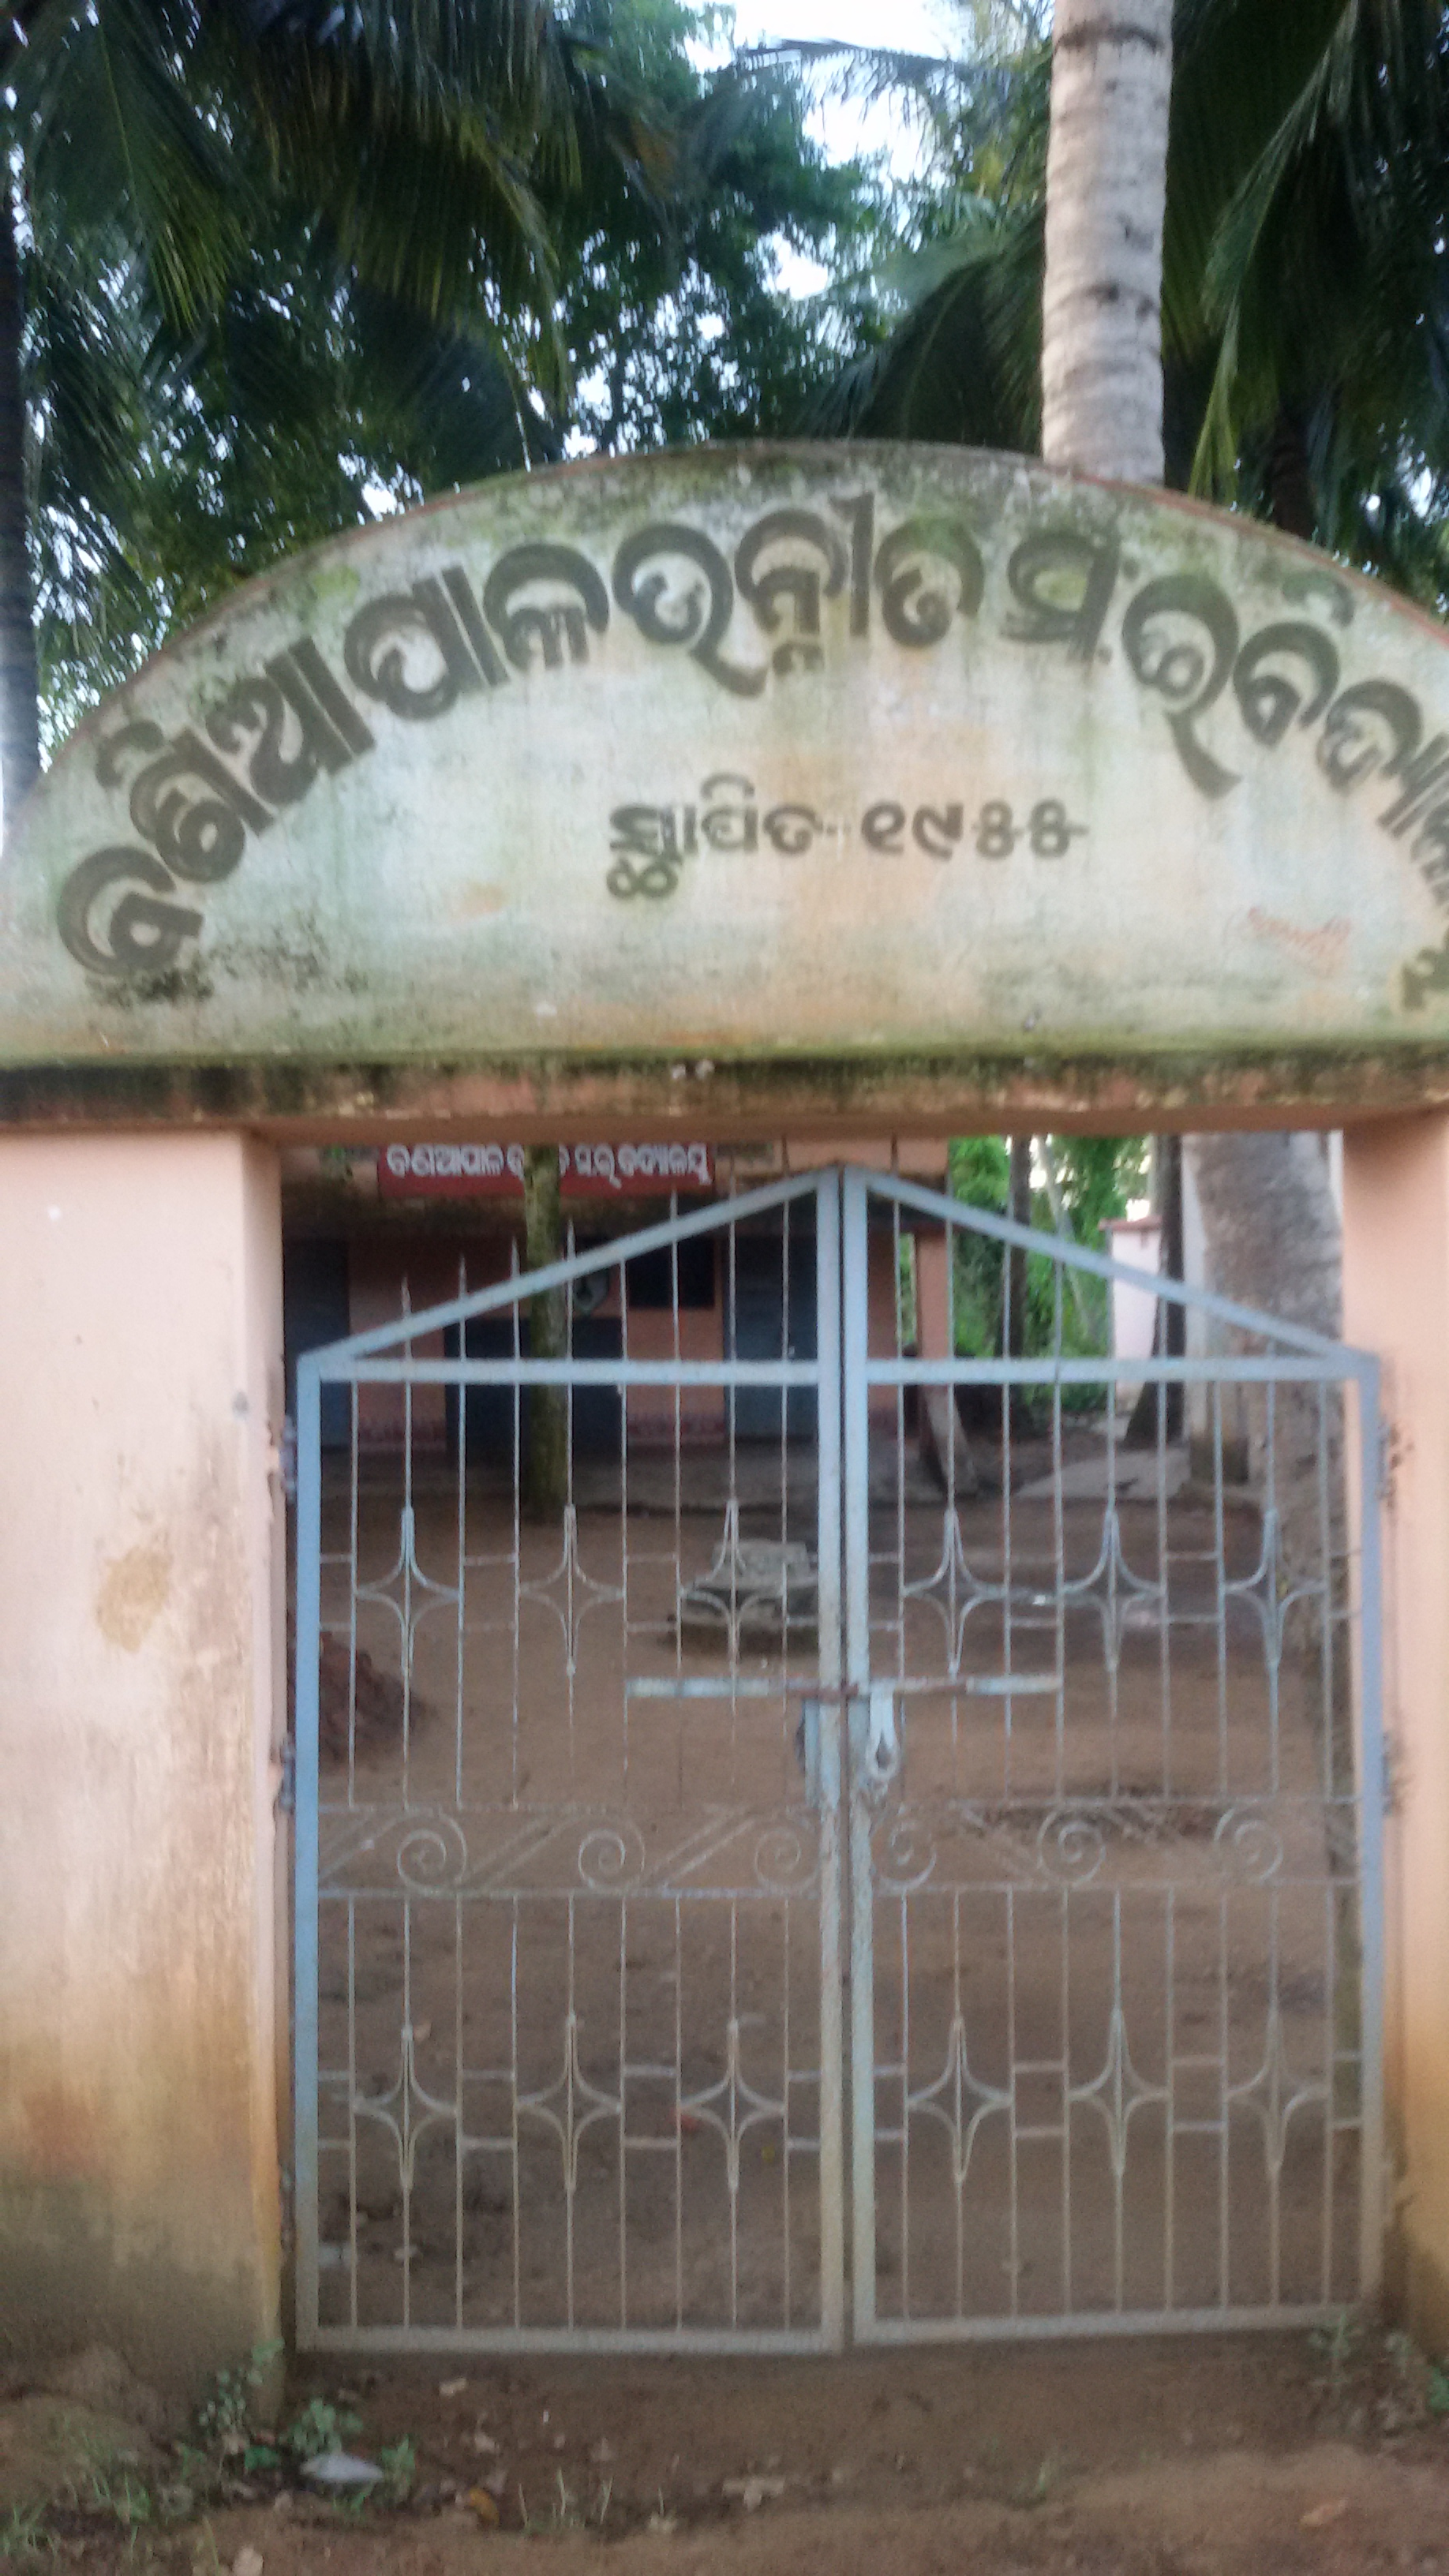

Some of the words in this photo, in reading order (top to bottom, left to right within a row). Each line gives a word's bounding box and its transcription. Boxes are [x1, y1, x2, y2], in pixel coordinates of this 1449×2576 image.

[32, 483, 1135, 998] ବଣିଆ ପାଳଉନ୍ମାତମ
[600, 758, 838, 909] ସ୍ଥାପିତ
[852, 791, 1094, 868] ୧୯୫୫
[382, 1132, 537, 1187] ବଣିଆପାଳ ବ୍
[554, 1132, 715, 1192] ସର୍‌ ବିଦ୍ୟାଳୟ